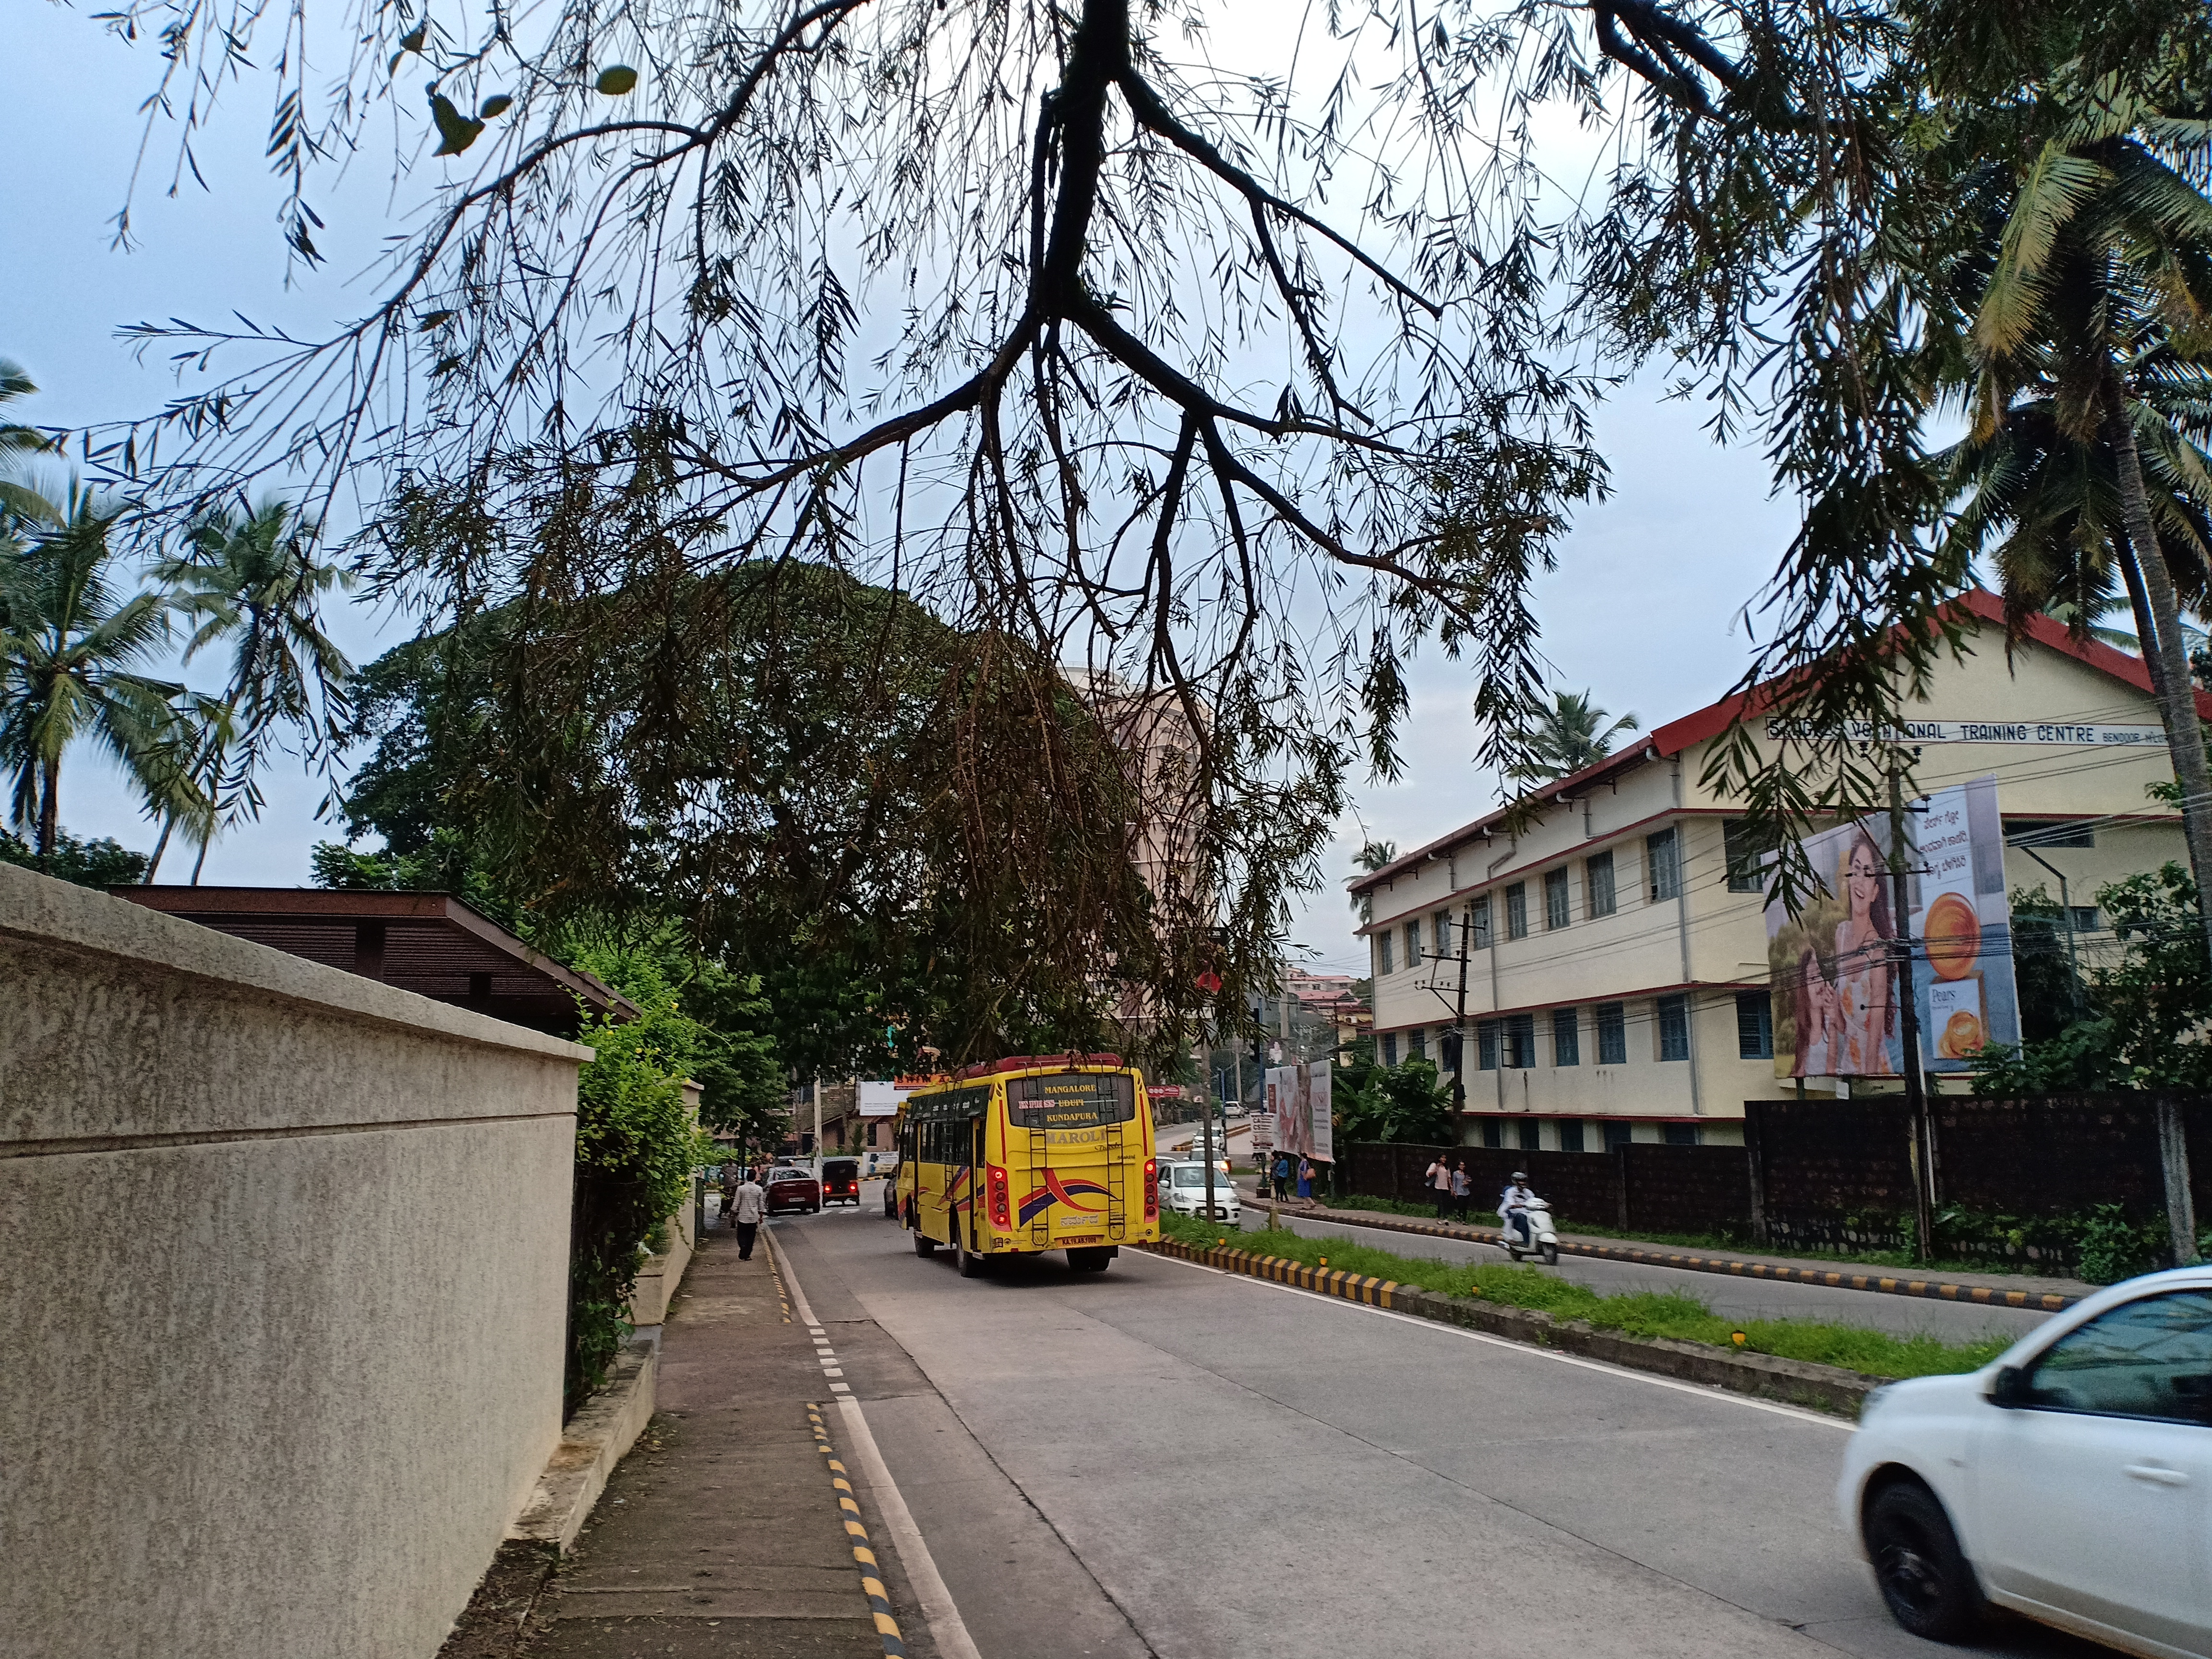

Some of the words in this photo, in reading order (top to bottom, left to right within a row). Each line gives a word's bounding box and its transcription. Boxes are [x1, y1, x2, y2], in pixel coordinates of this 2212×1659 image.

[1957, 720, 2030, 743] TRAINING
[2034, 721, 2097, 743] CENTRE
[2100, 729, 2143, 746] BENDOOR
[1042, 1080, 1100, 1096] MANGALORE
[1044, 1110, 1100, 1124] KUNDAPURA
[1042, 1126, 1109, 1145] MAROLI